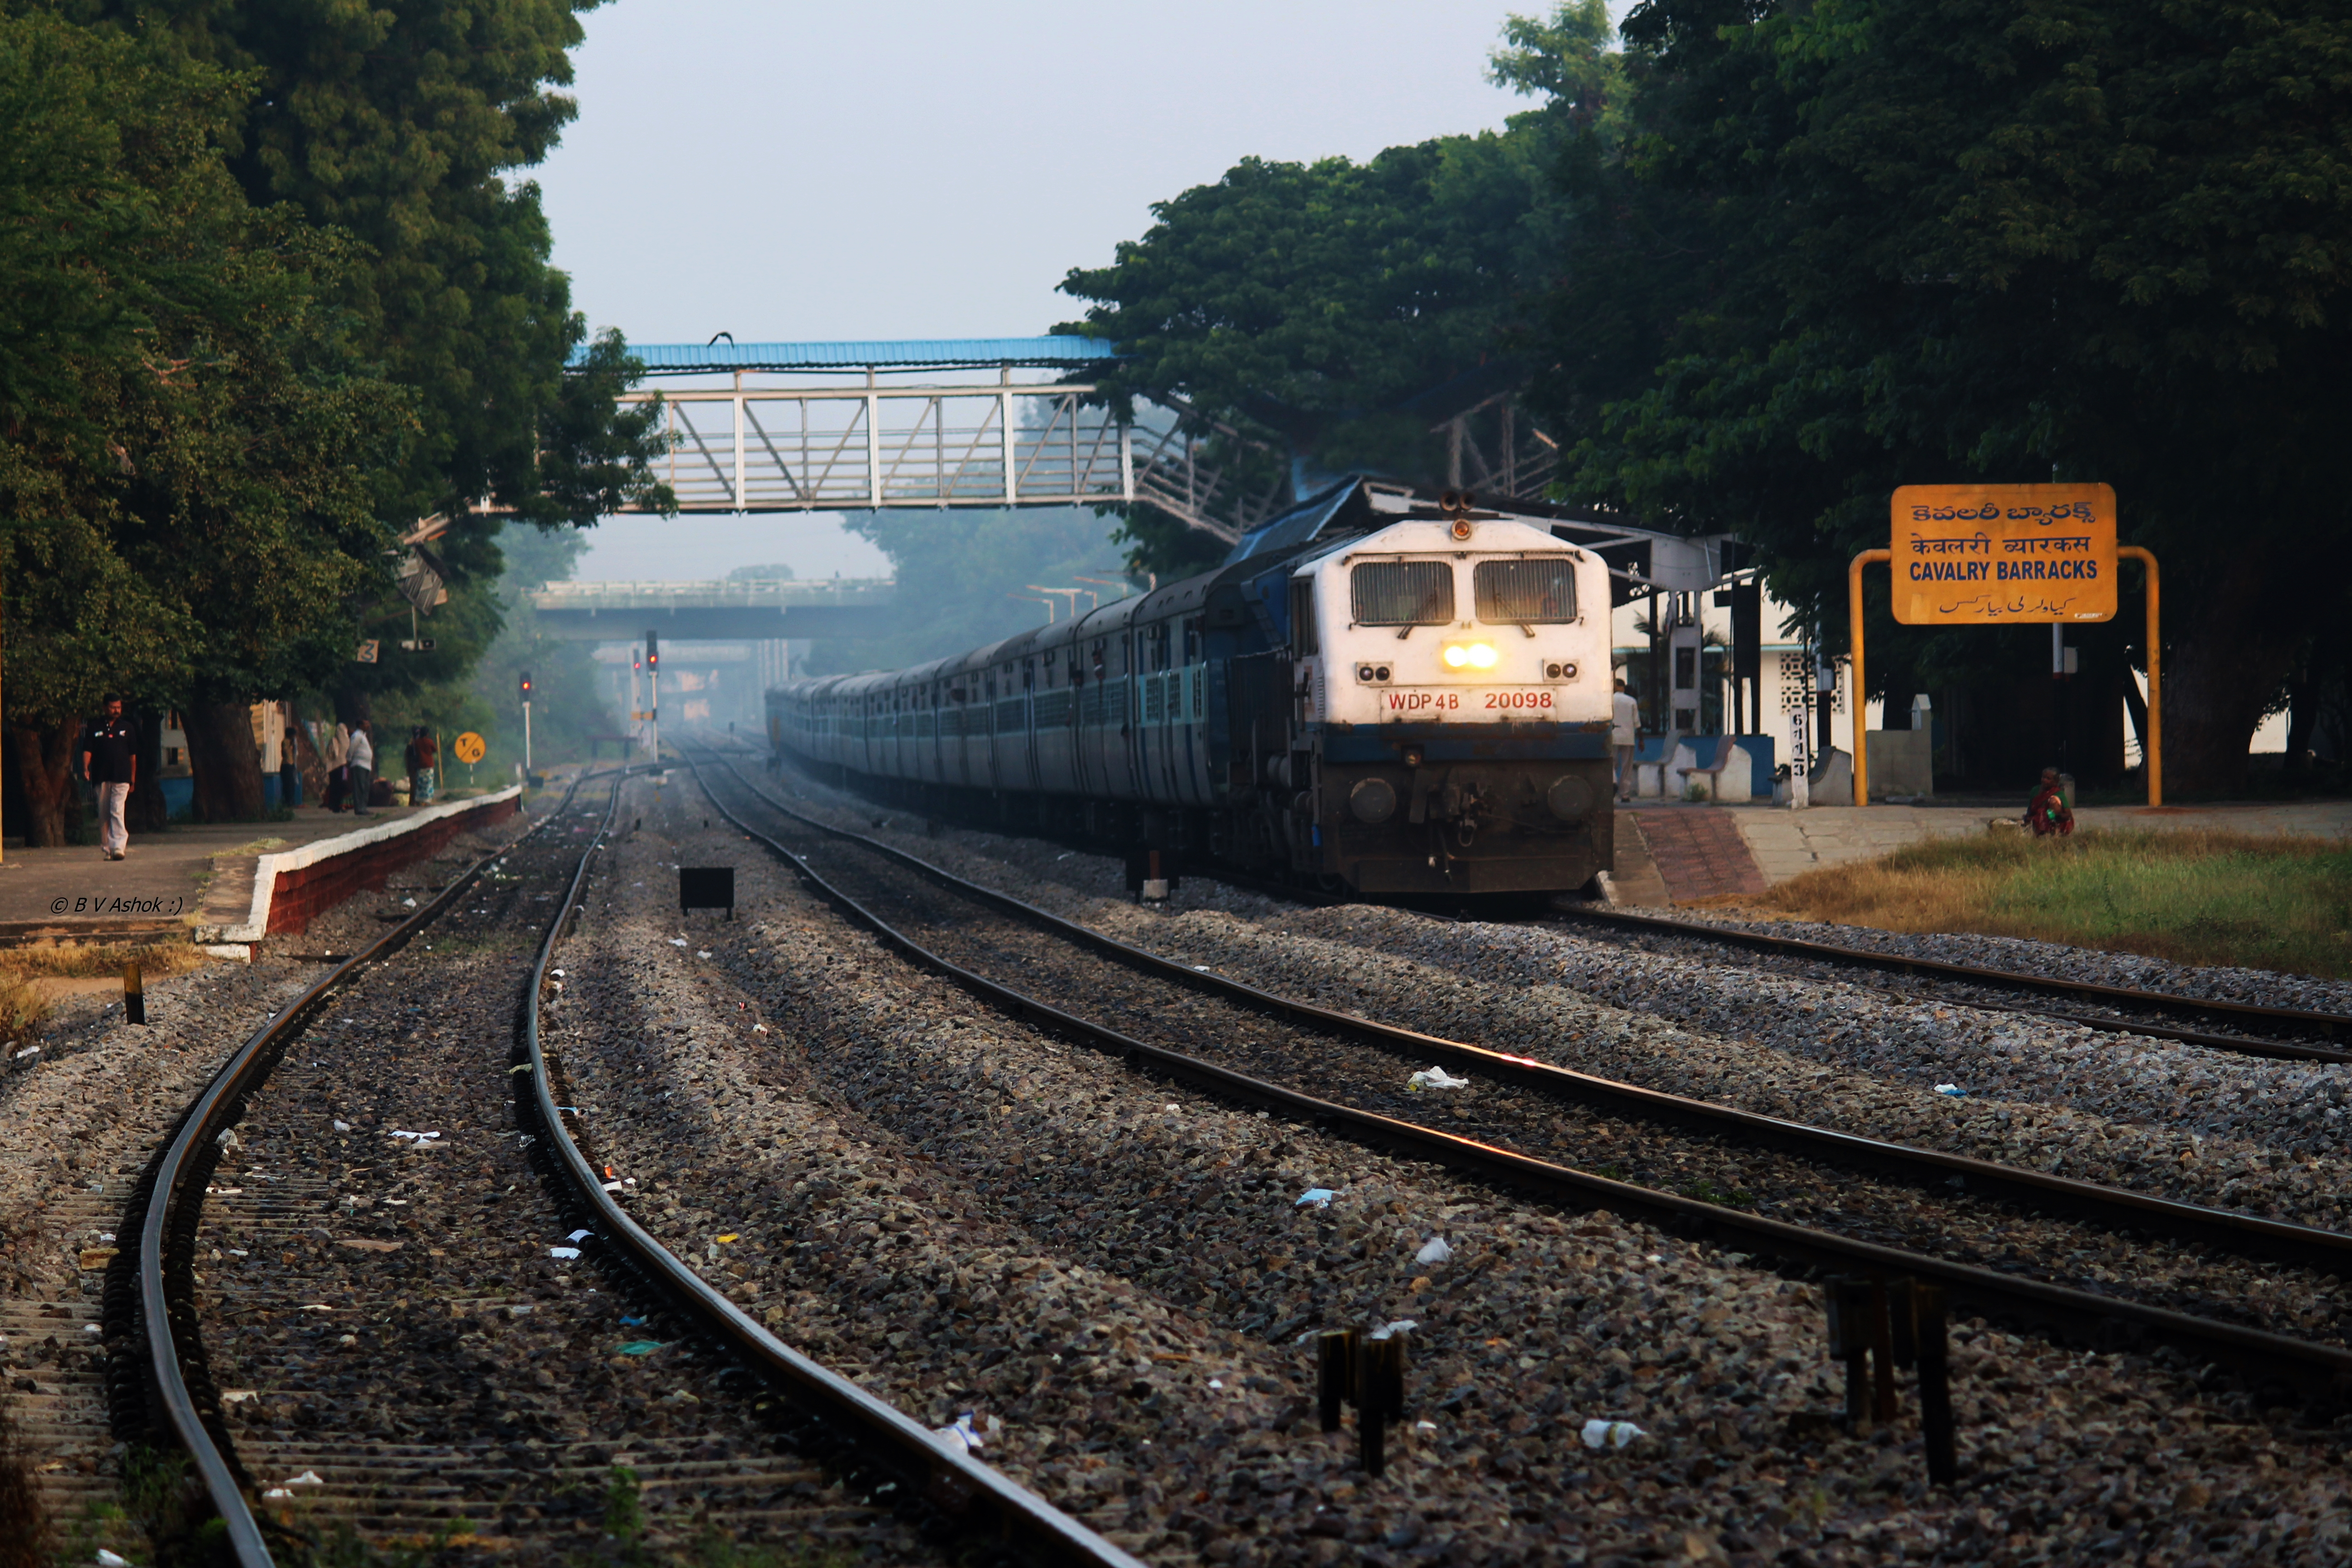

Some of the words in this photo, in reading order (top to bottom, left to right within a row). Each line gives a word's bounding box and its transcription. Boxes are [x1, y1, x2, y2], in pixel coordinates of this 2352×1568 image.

[1910, 500, 2001, 522] కెవలరీ
[2004, 497, 2099, 527] బ్యారక్స్
[1906, 528, 1992, 557] केवलरी
[2001, 534, 2093, 556] ब्यारकस
[1909, 559, 1990, 583] CAVALRY
[1994, 556, 2099, 583] BARRACKS
[1377, 682, 1464, 718] WDP4B
[1479, 684, 1556, 714] 20098